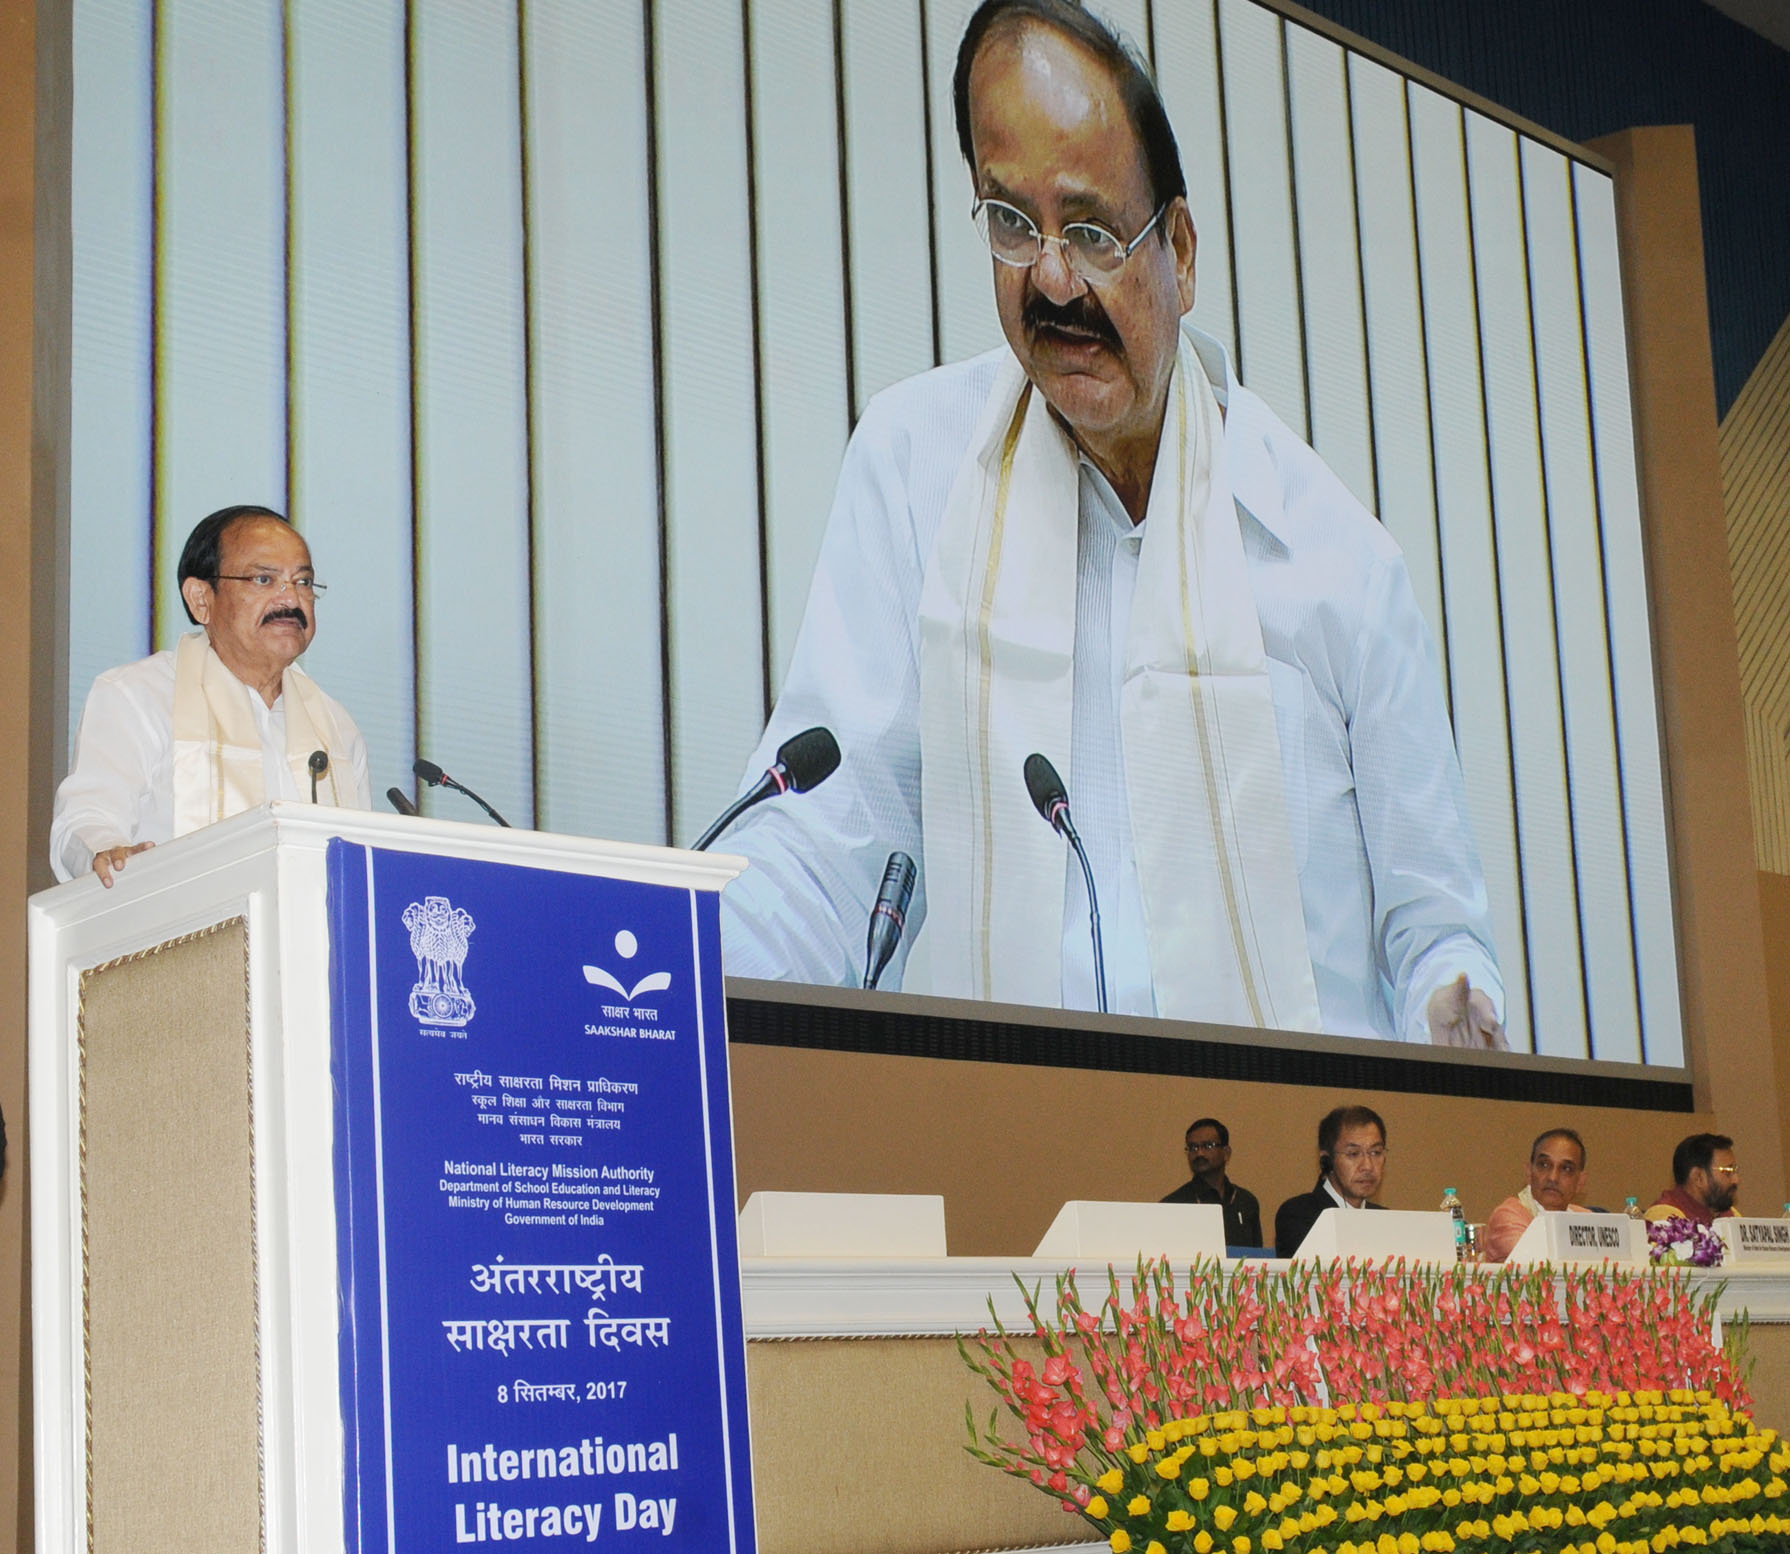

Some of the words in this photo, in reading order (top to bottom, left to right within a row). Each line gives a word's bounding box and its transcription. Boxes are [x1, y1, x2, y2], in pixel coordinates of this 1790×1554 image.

[596, 1000, 634, 1024] साक्षर
[629, 1003, 663, 1029] भारत
[413, 1019, 450, 1041] सत्यमेव
[445, 1022, 473, 1043] जयते
[580, 1018, 641, 1042] SAAKSHAR
[635, 1021, 681, 1045] BHARAT
[451, 1063, 497, 1093] राष्ट्रीय
[494, 1071, 548, 1094] साक्षरता
[544, 1067, 587, 1097] मिशन
[581, 1070, 643, 1098] प्राधिकरण
[470, 1091, 502, 1114] स्कूल
[494, 1085, 532, 1112] शिक्षा
[521, 1091, 557, 1114] और
[553, 1091, 597, 1117] साक्षरता
[591, 1091, 629, 1119] विभाग
[473, 1109, 509, 1131] मानव
[503, 1104, 550, 1131] संसाधन
[543, 1109, 587, 1132] विकास
[583, 1111, 625, 1133] मंत्रालय
[514, 1127, 549, 1151] भारत
[547, 1132, 587, 1149] सरकार
[435, 1174, 504, 1196] Department
[440, 1154, 500, 1182] National
[496, 1177, 517, 1197] of
[495, 1154, 555, 1183] Literacy
[511, 1175, 553, 1199] School
[548, 1156, 603, 1185] Mission
[547, 1175, 607, 1198] Education
[599, 1179, 625, 1199] and
[597, 1160, 659, 1189] Authority
[618, 1178, 665, 1201] Literacy
[445, 1189, 494, 1215] Ministry
[489, 1192, 508, 1213] of
[499, 1193, 545, 1214] Human
[539, 1193, 593, 1214] Resource
[591, 1193, 659, 1215] Development
[497, 1207, 571, 1230] Government
[562, 1210, 582, 1232] of
[577, 1209, 611, 1231] India
[1559, 1218, 1599, 1253] DIRECTOR
[1591, 1220, 1625, 1253] UNESCO
[1735, 1220, 1776, 1247] DR.SATIAPALS
[465, 1245, 646, 1307] अंतरराष्ट्रीय
[439, 1315, 573, 1361] साक्षरता
[581, 1299, 673, 1355] दिवस
[491, 1379, 514, 1409] 8
[506, 1371, 579, 1407] सितम्बर
[581, 1377, 633, 1405] 2017
[444, 1427, 684, 1491] International
[451, 1495, 606, 1547] Literacy
[613, 1488, 681, 1541] Day